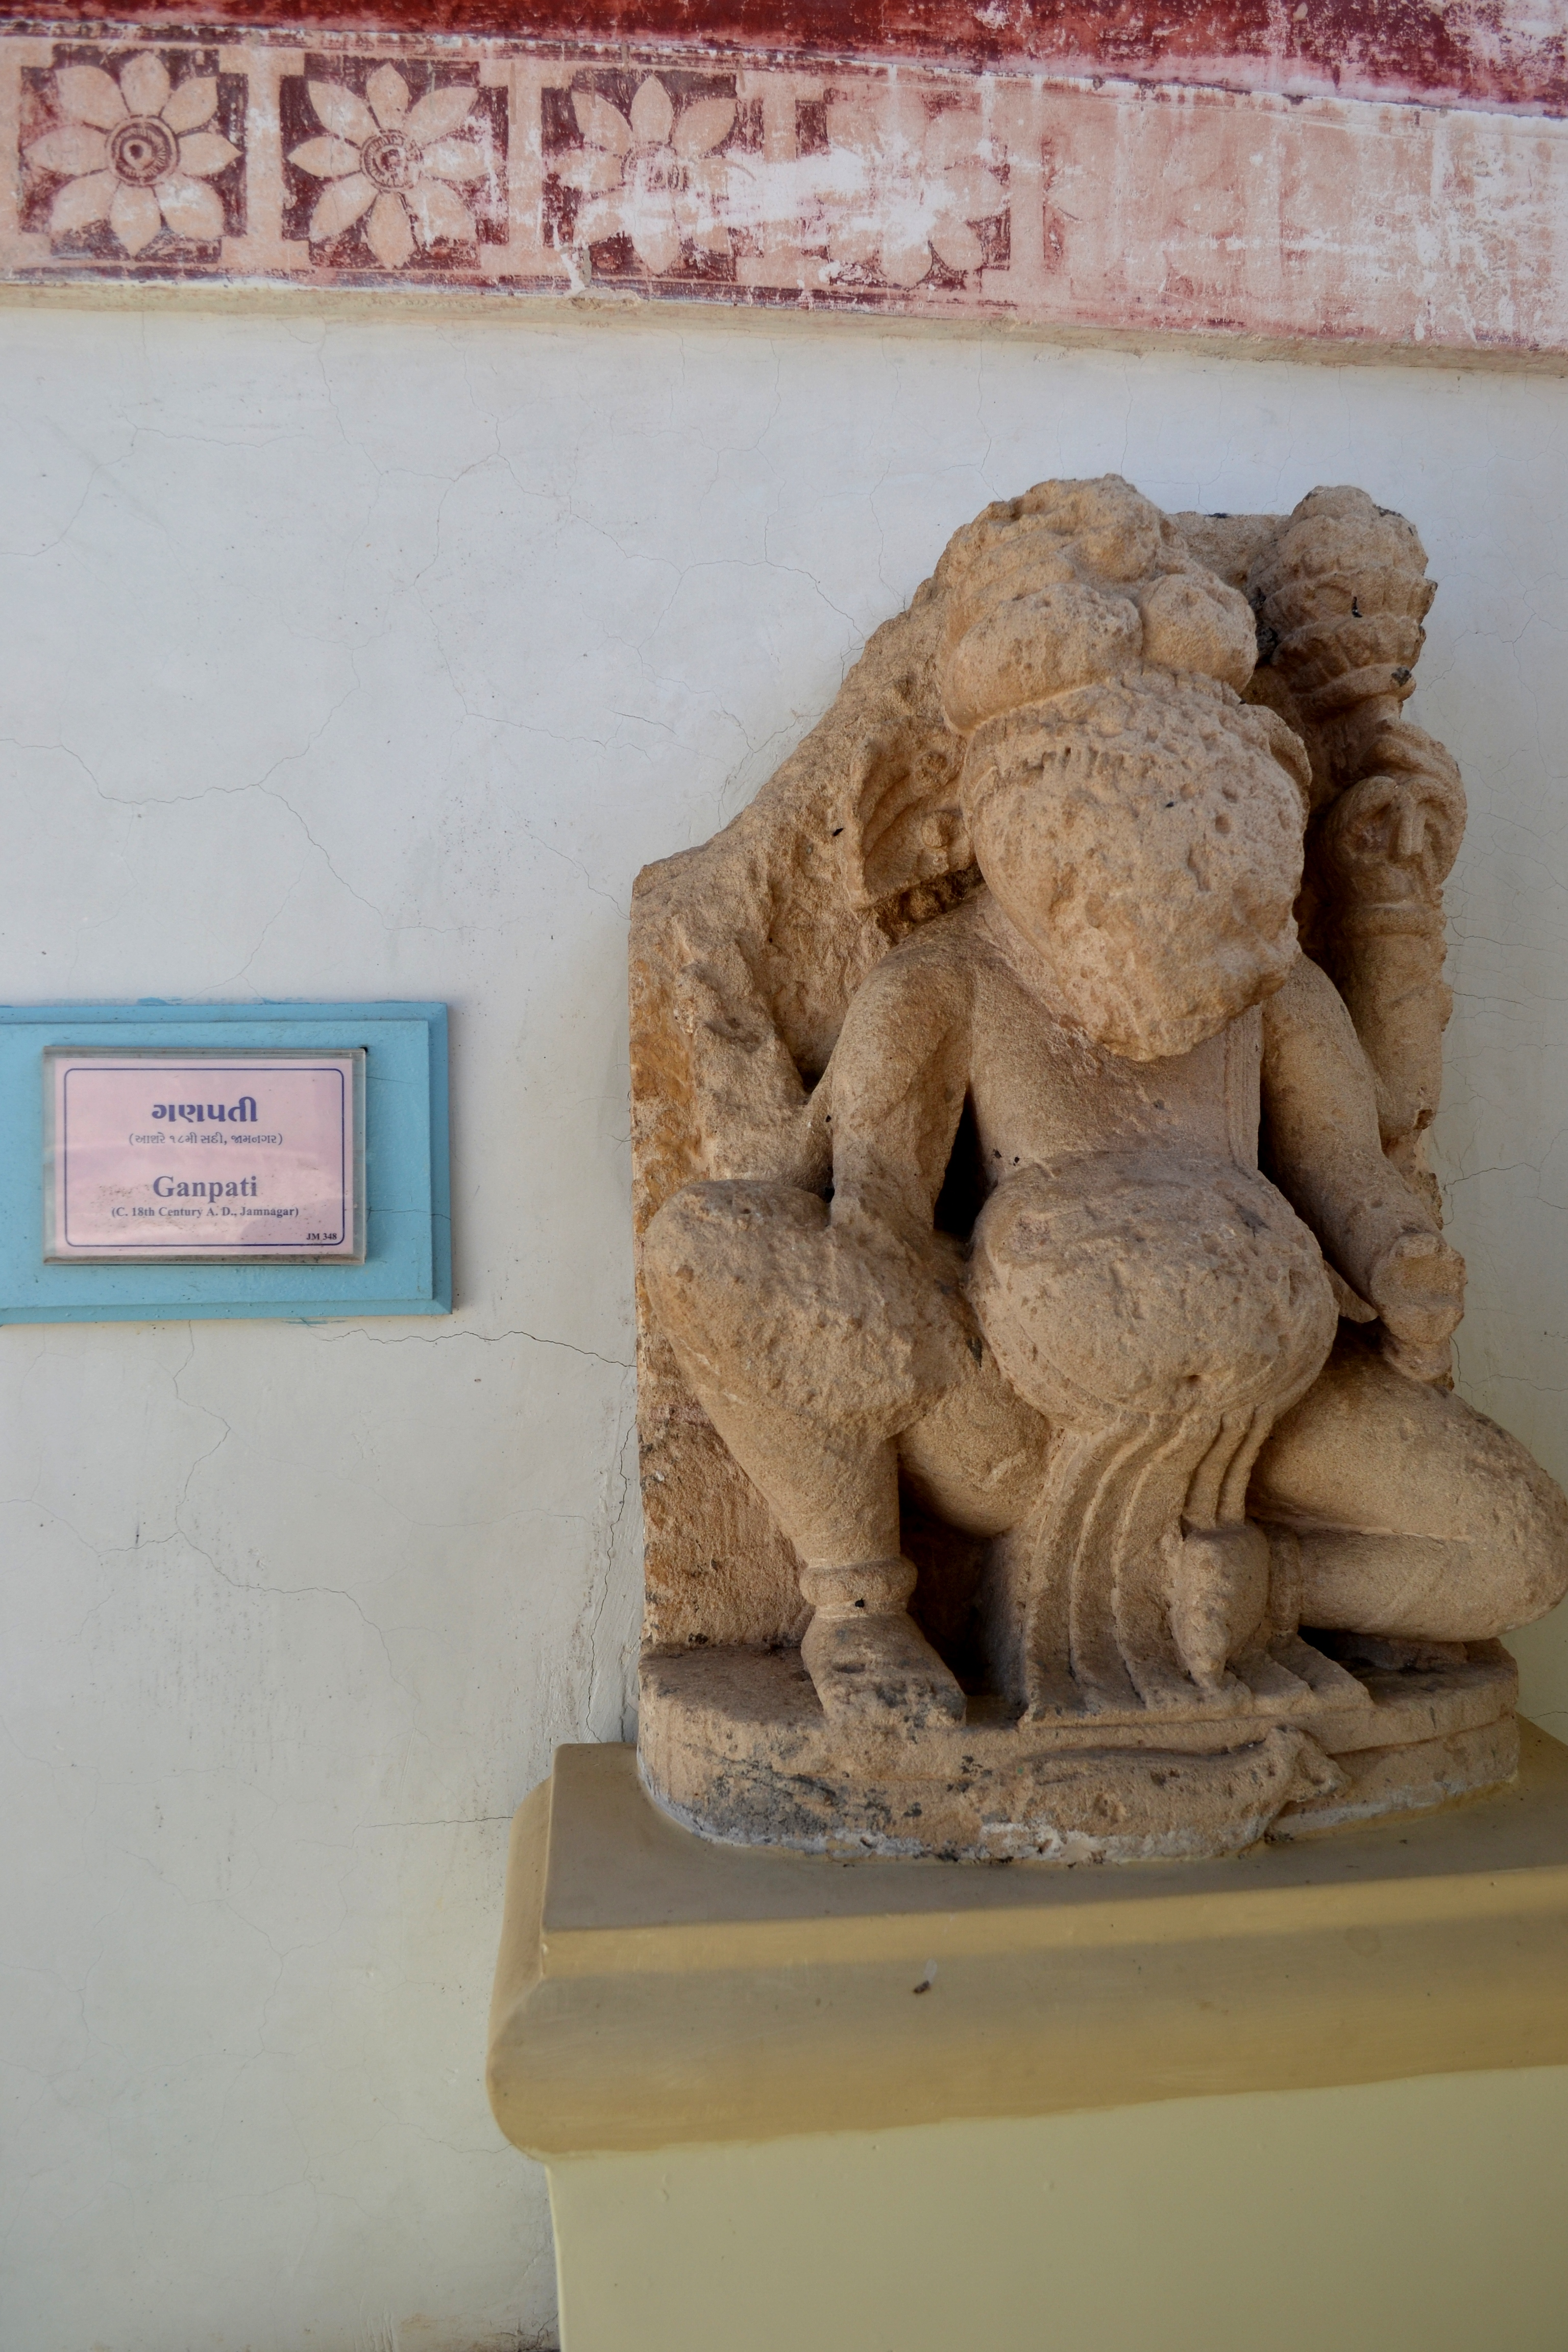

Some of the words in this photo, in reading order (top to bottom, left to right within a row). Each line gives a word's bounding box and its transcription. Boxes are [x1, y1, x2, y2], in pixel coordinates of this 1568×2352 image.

[145, 1094, 258, 1123] ગણપતી
[147, 1168, 260, 1203] Ganpati
[119, 1206, 145, 1220] .18
[256, 1206, 296, 1222] nnagar